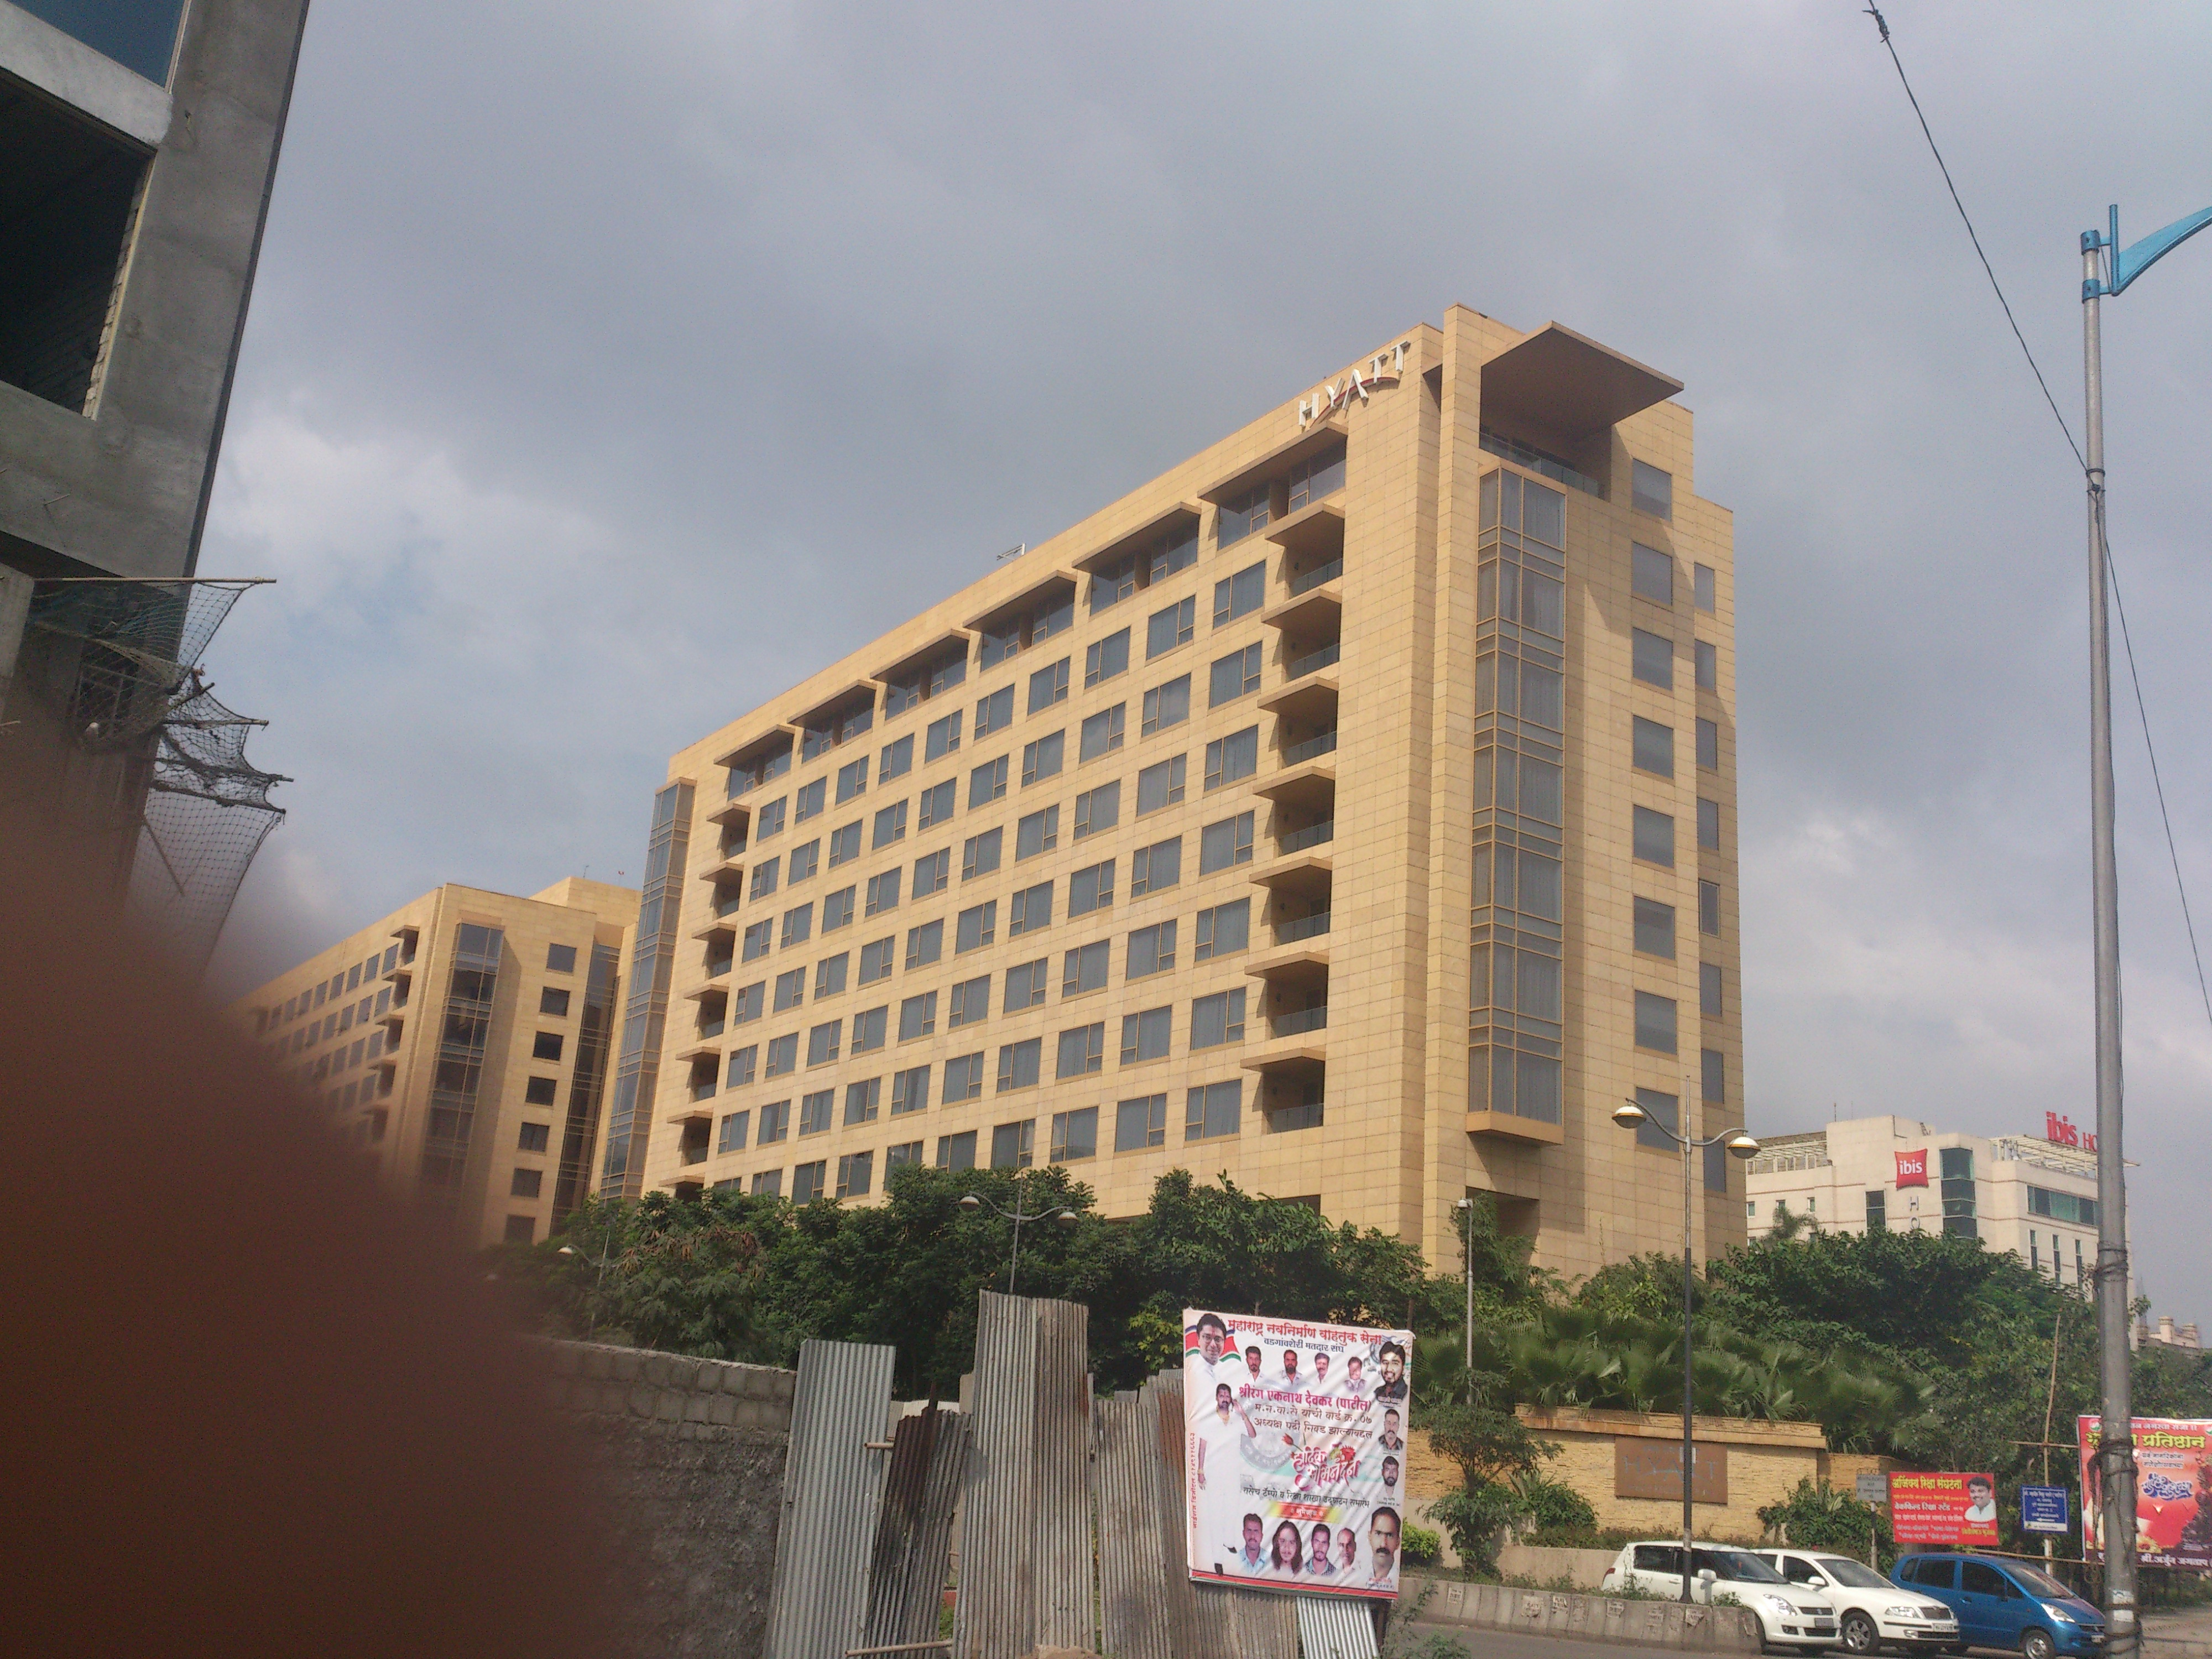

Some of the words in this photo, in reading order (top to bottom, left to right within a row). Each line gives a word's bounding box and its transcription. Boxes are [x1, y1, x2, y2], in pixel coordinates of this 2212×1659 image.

[1294, 336, 1418, 434] HYATT
[2042, 1107, 2081, 1147] ibis
[1897, 1156, 1926, 1177] ibis
[1225, 1314, 1266, 1339] महाराष्ट्र
[1261, 1336, 1305, 1350] वडगांवशेरी
[1265, 1317, 1318, 1339] नवनिर्माण
[1305, 1338, 1331, 1353] मतदार
[1329, 1342, 1345, 1355] संघ
[1318, 1326, 1359, 1347] वाहतुक
[1359, 1329, 1385, 1348] सेना
[1236, 1381, 1266, 1401] श्रीरंग
[1250, 1416, 1285, 1431] अध्यक्ष
[1250, 1402, 1290, 1416] म.न.वा.
[1265, 1386, 1305, 1406] एकनाथ
[1283, 1417, 1303, 1432] पदी
[1289, 1404, 1300, 1417] से
[1299, 1406, 1324, 1421] याची
[1300, 1418, 1327, 1437] निवड
[1304, 1386, 1335, 1410] देवकर
[1323, 1407, 1344, 1423] वार्ड
[1343, 1411, 1359, 1424] क्र.
[1326, 1423, 1376, 1441] झाल्याबद्दल
[1334, 1393, 1372, 1413] (पाटील)
[1359, 1413, 1375, 1426] ०७
[2140, 1430, 2207, 1451] प्रतिष्ठान
[1289, 1444, 1329, 1474] हार्दिक
[1241, 1483, 1261, 1499] तसेच
[1261, 1484, 1279, 1499] टॅम्पो
[1278, 1488, 1287, 1501] व
[1284, 1488, 1302, 1502] रिक्षा
[1301, 1490, 1322, 1505] शाखा
[1291, 1455, 1365, 1493] अभिनंदन
[1322, 1494, 1349, 1508] उद्घाटन
[1349, 1495, 1373, 1511] समारंभ
[1890, 1473, 1919, 1491] अजिंक्य
[1919, 1474, 1936, 1491] रिक्षा
[1936, 1475, 1965, 1492] संघटना